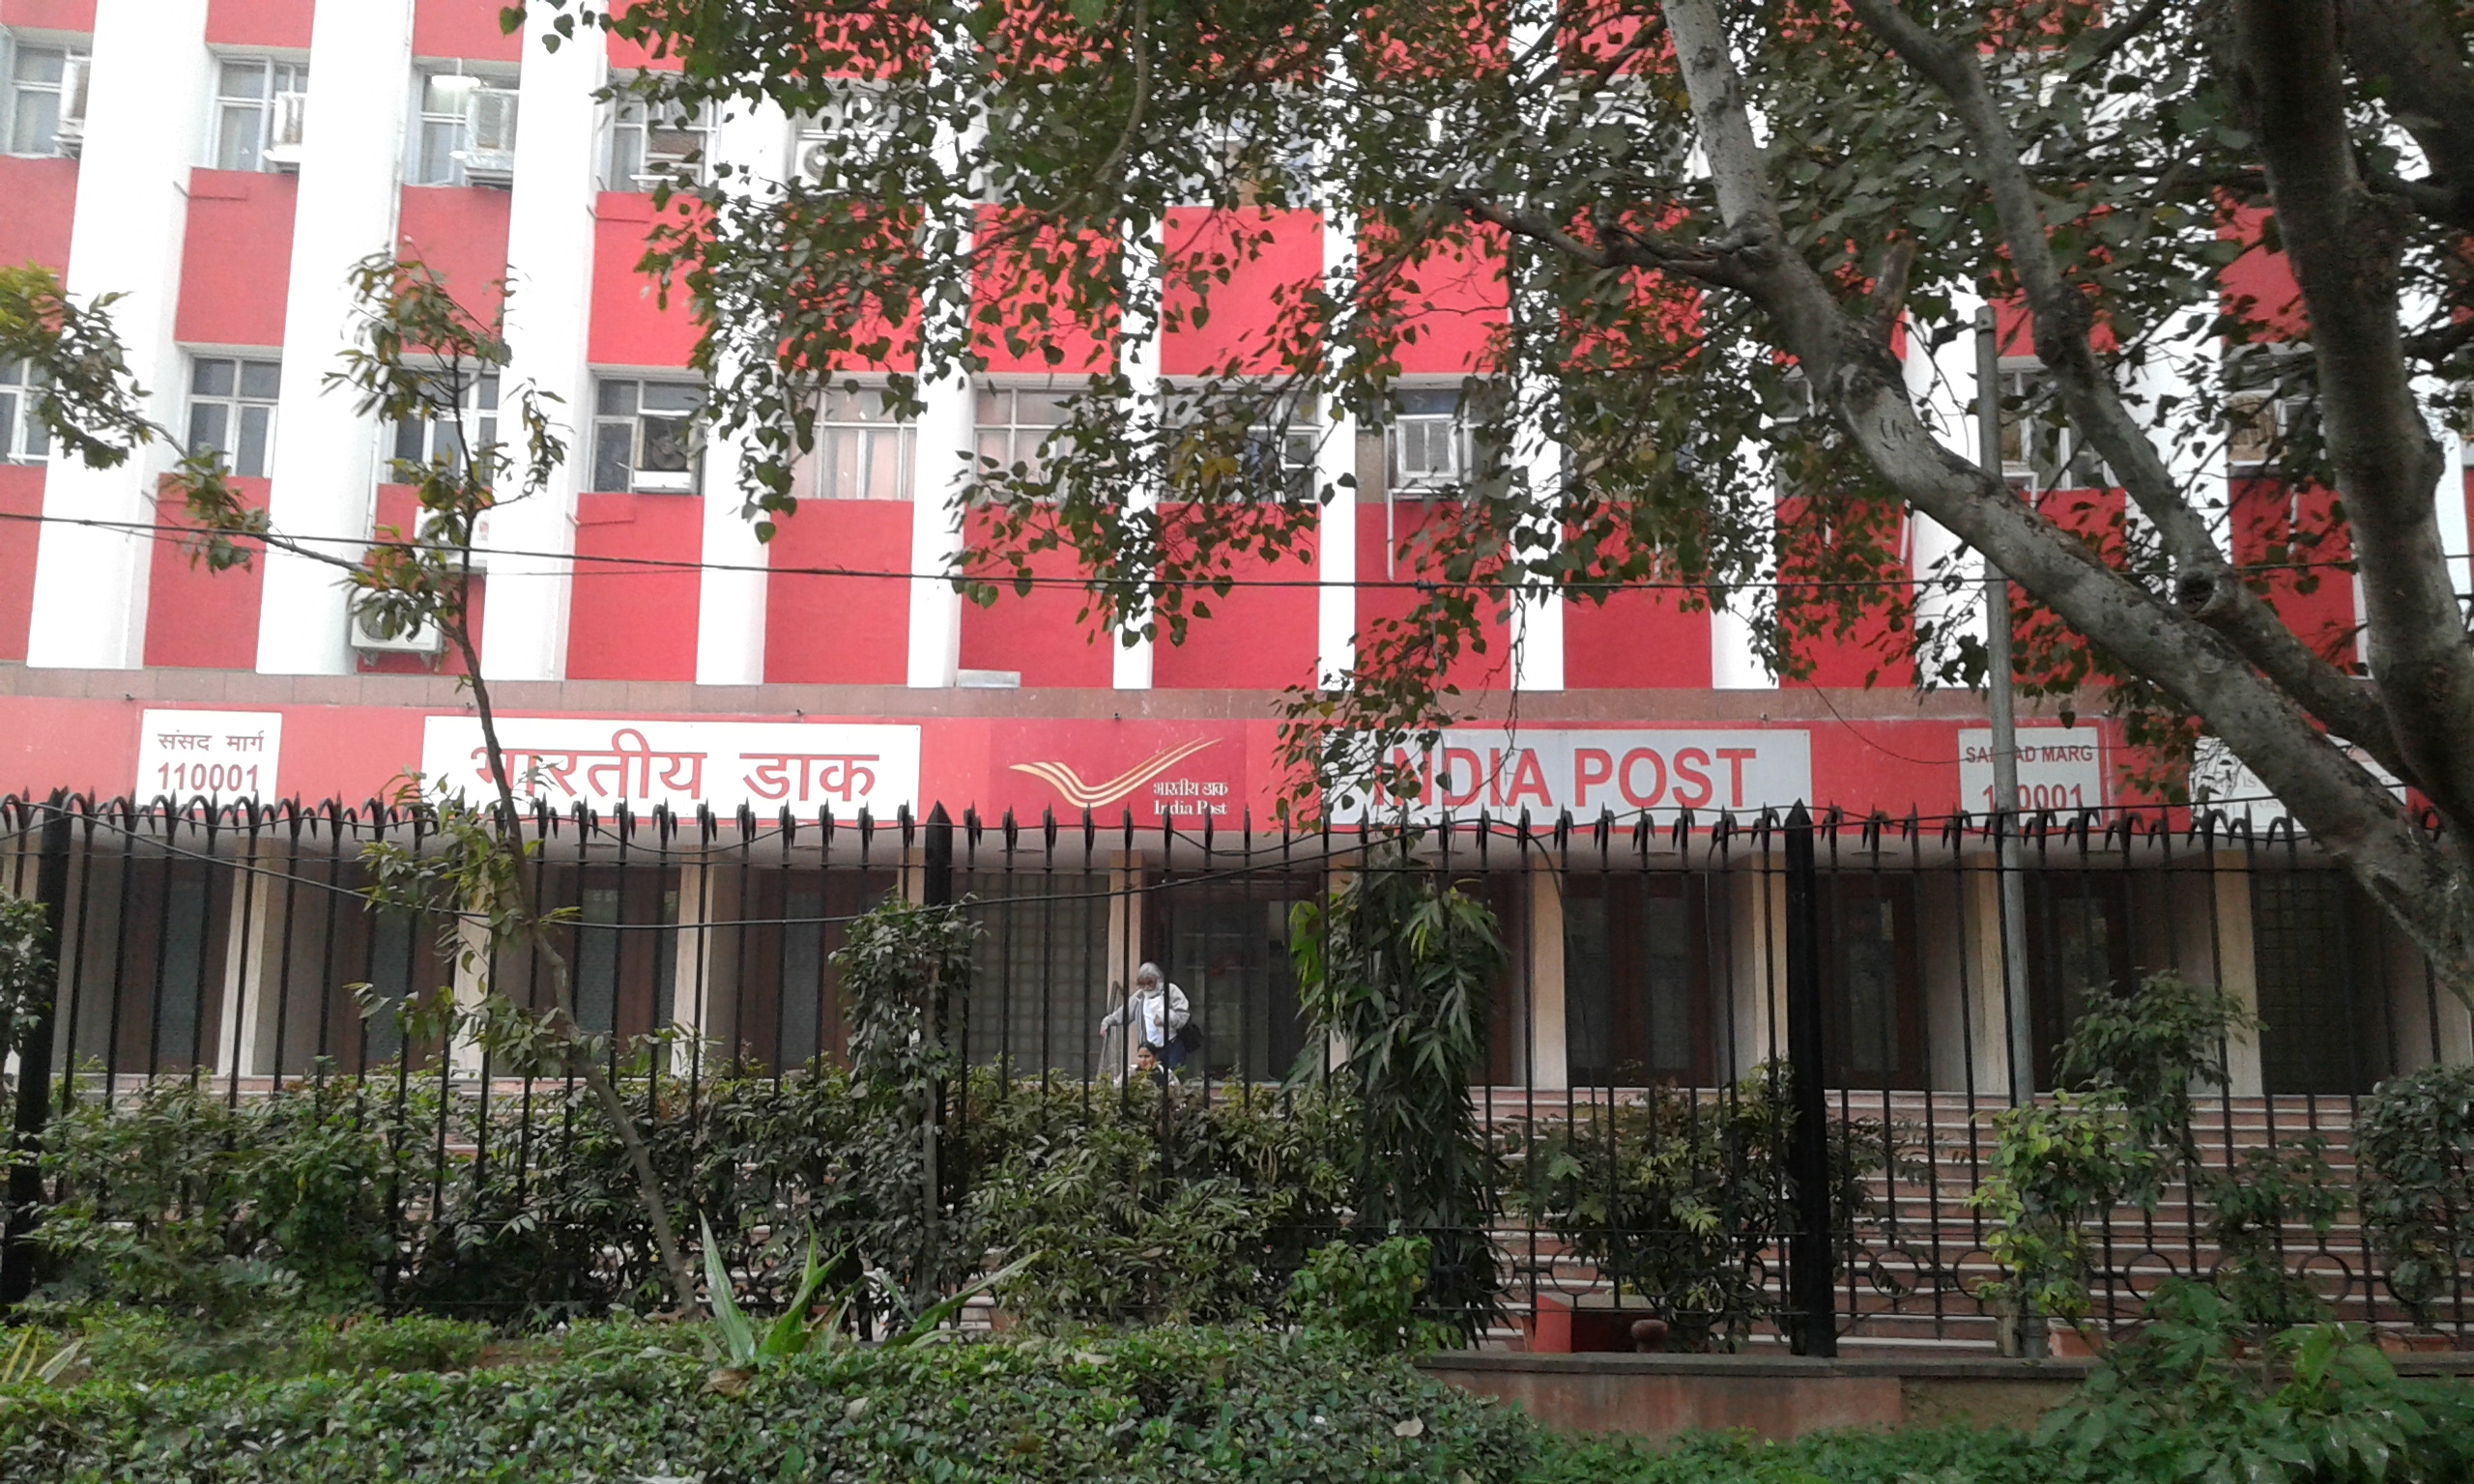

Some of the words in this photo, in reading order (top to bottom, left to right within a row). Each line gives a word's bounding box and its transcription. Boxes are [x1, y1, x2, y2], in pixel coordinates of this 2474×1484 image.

[154, 724, 215, 756] संसद
[156, 758, 266, 795] 110001
[218, 727, 268, 755] मार्ग
[469, 722, 711, 803] भारतीय
[737, 749, 885, 805] डाक
[1148, 772, 1202, 800] भारतीय
[1196, 777, 1232, 800] डाक
[1365, 738, 1557, 811] DIA
[1570, 744, 1762, 811] POST
[2036, 741, 2099, 768] MARG
[1149, 797, 1197, 816] Idia
[1194, 795, 1231, 823] रेखंड